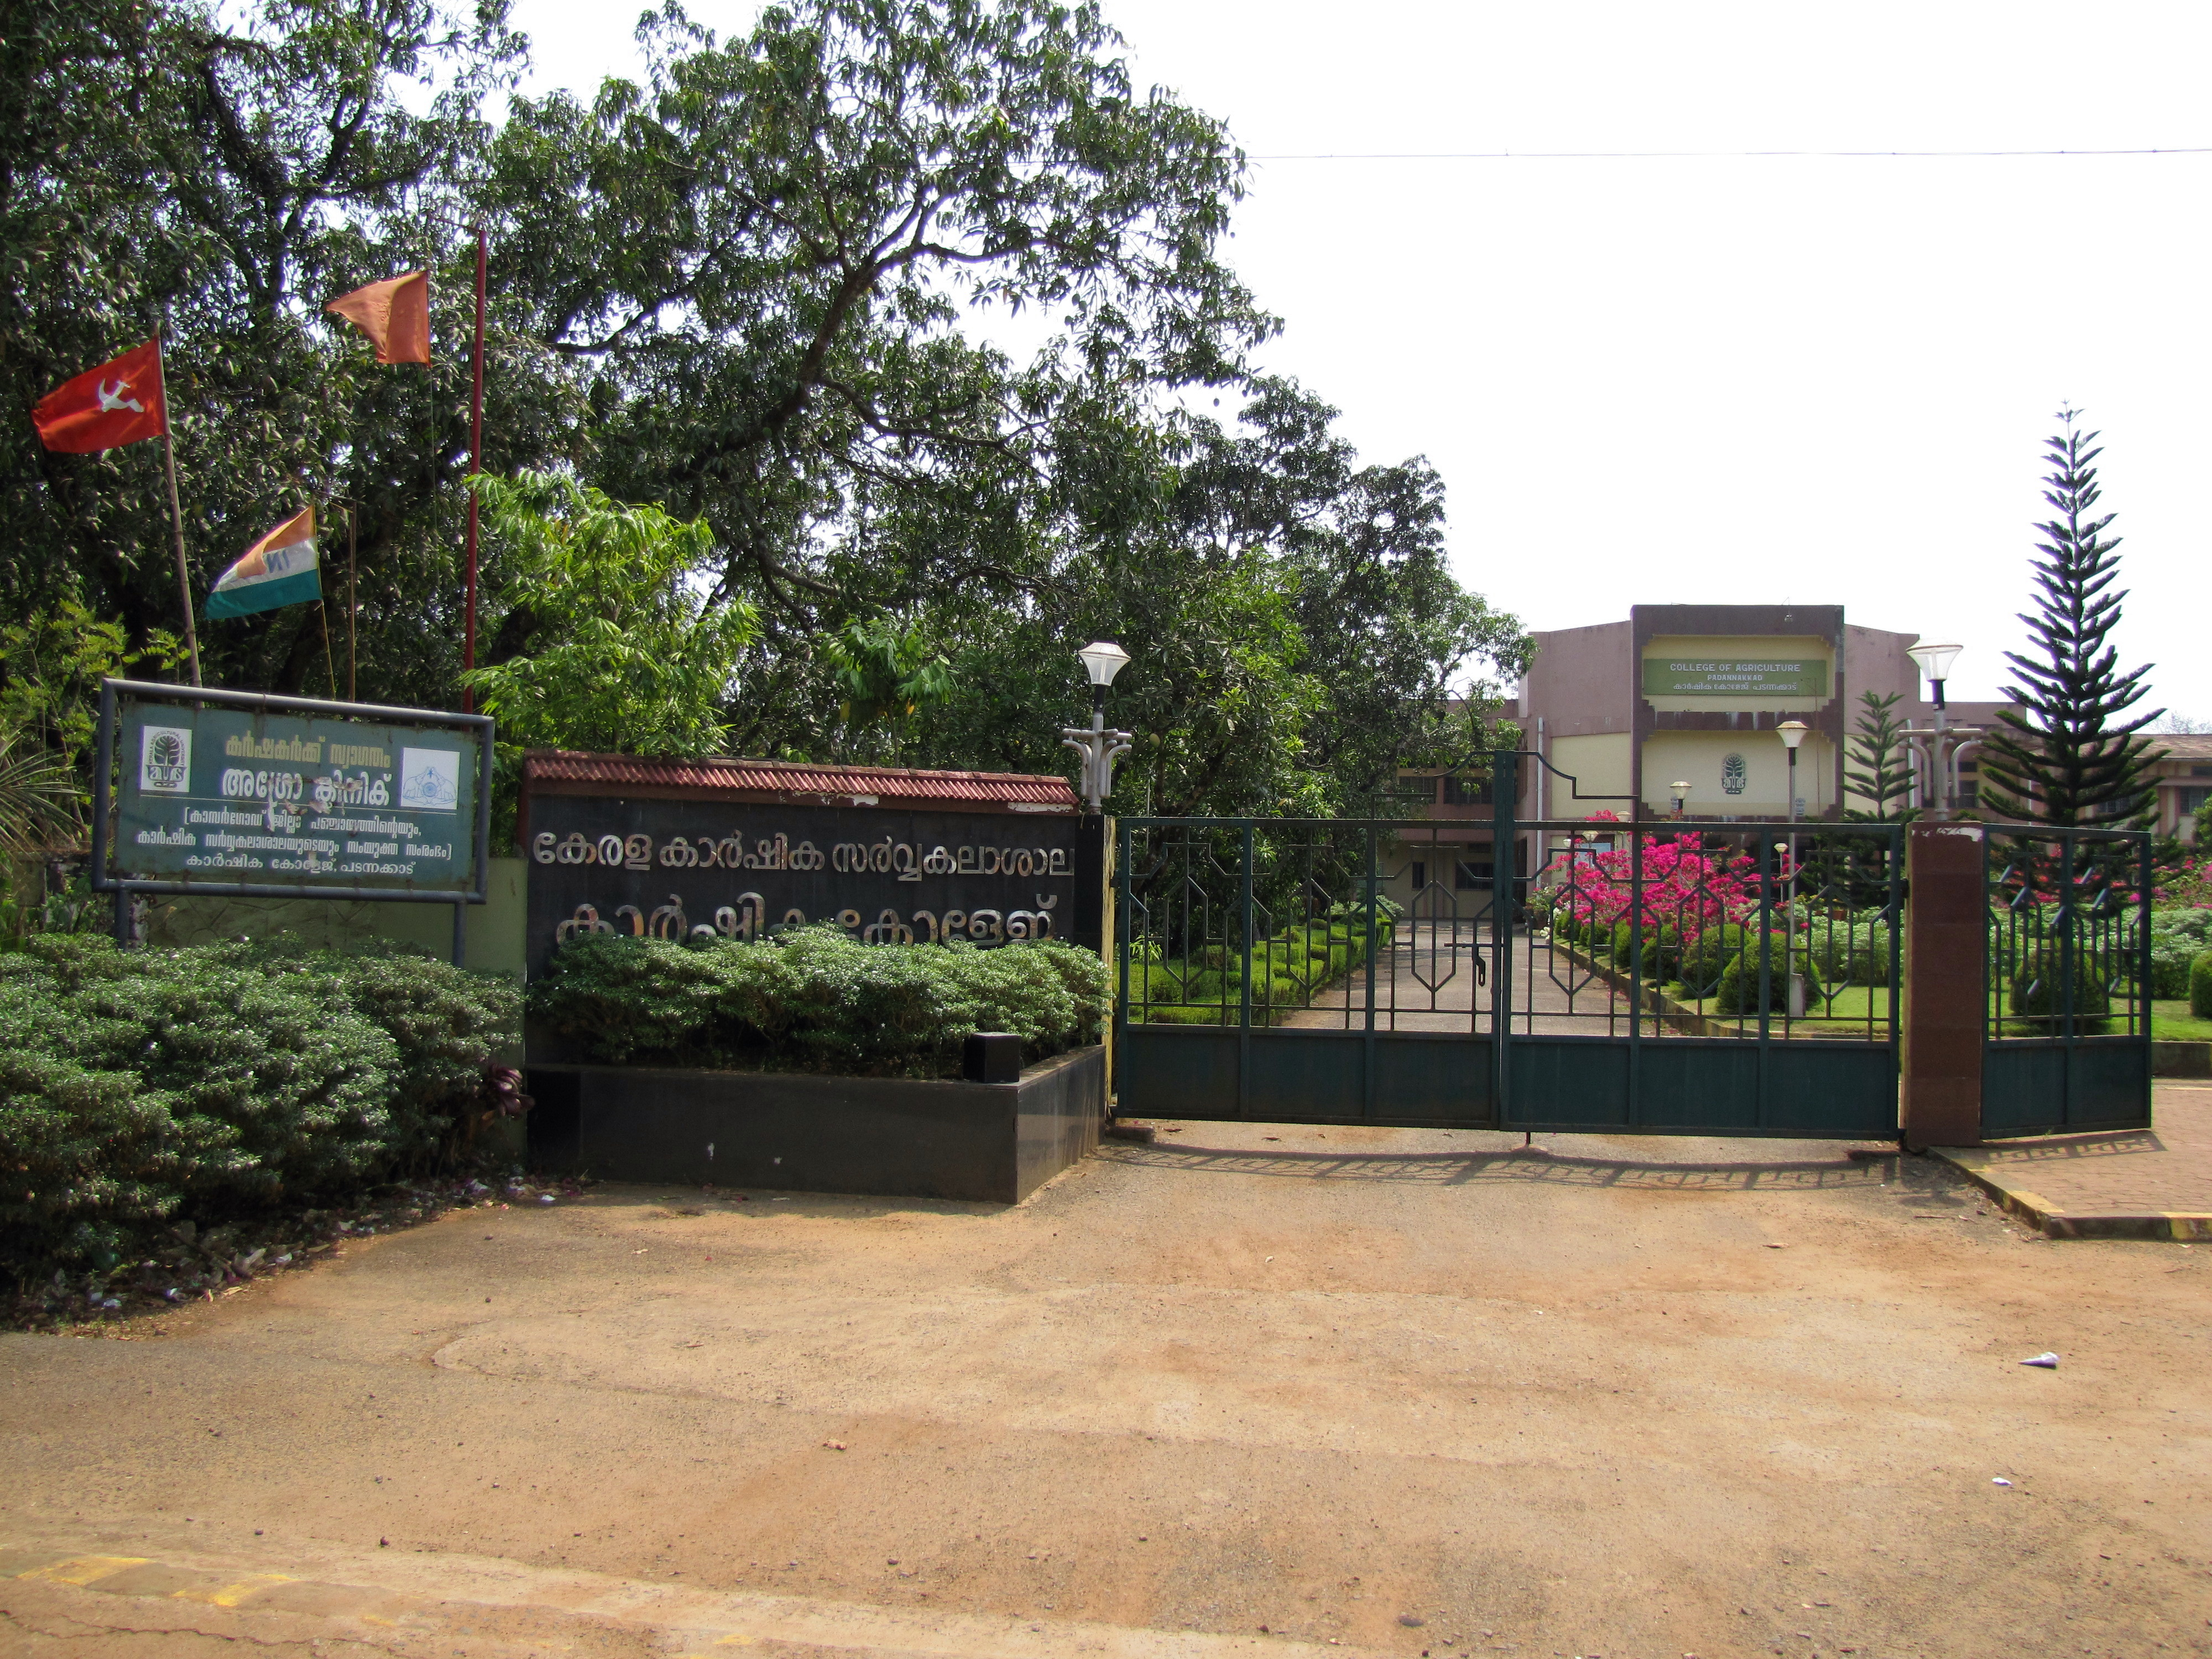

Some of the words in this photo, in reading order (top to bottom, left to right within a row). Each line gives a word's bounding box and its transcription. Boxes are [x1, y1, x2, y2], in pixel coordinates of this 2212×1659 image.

[1670, 678, 1713, 693] കാർഷിക
[1667, 660, 1717, 675] COLLEGE
[1713, 661, 1733, 675] OF
[1710, 679, 1750, 692] കോരളജ്
[1704, 672, 1765, 683] PADANNAKKAD
[1733, 661, 1802, 675] AGRICULTURE
[1750, 680, 1799, 693] പടന്നക്കാട്
[221, 728, 327, 766] കർഷകർക്ക്
[328, 740, 394, 771] സ്വാഗതം
[219, 766, 306, 802] അഗ്രോ
[311, 765, 395, 809] കിനിക്
[137, 822, 197, 849] കാർഷിക
[183, 849, 267, 870] കാർഷിക
[189, 802, 269, 828] കാസർഗോഡ്
[201, 829, 341, 858] സർവ്വകലാശാലയുടെയും
[267, 806, 303, 837] ജില്ലാ
[270, 853, 338, 875] കോളേജ്
[308, 813, 422, 840] പഞ്ചായത്തിന്റെയും
[344, 838, 400, 860] സംയുക്ത
[339, 860, 418, 878] പടന്നക്കാട്
[404, 841, 450, 860] സം‌രംഭം
[530, 829, 659, 873] കേര‌ള
[654, 827, 828, 874] കാർഷിക
[832, 832, 1076, 883] സർ‌വ്വകലാശാല
[551, 886, 813, 963] കാർഷിക